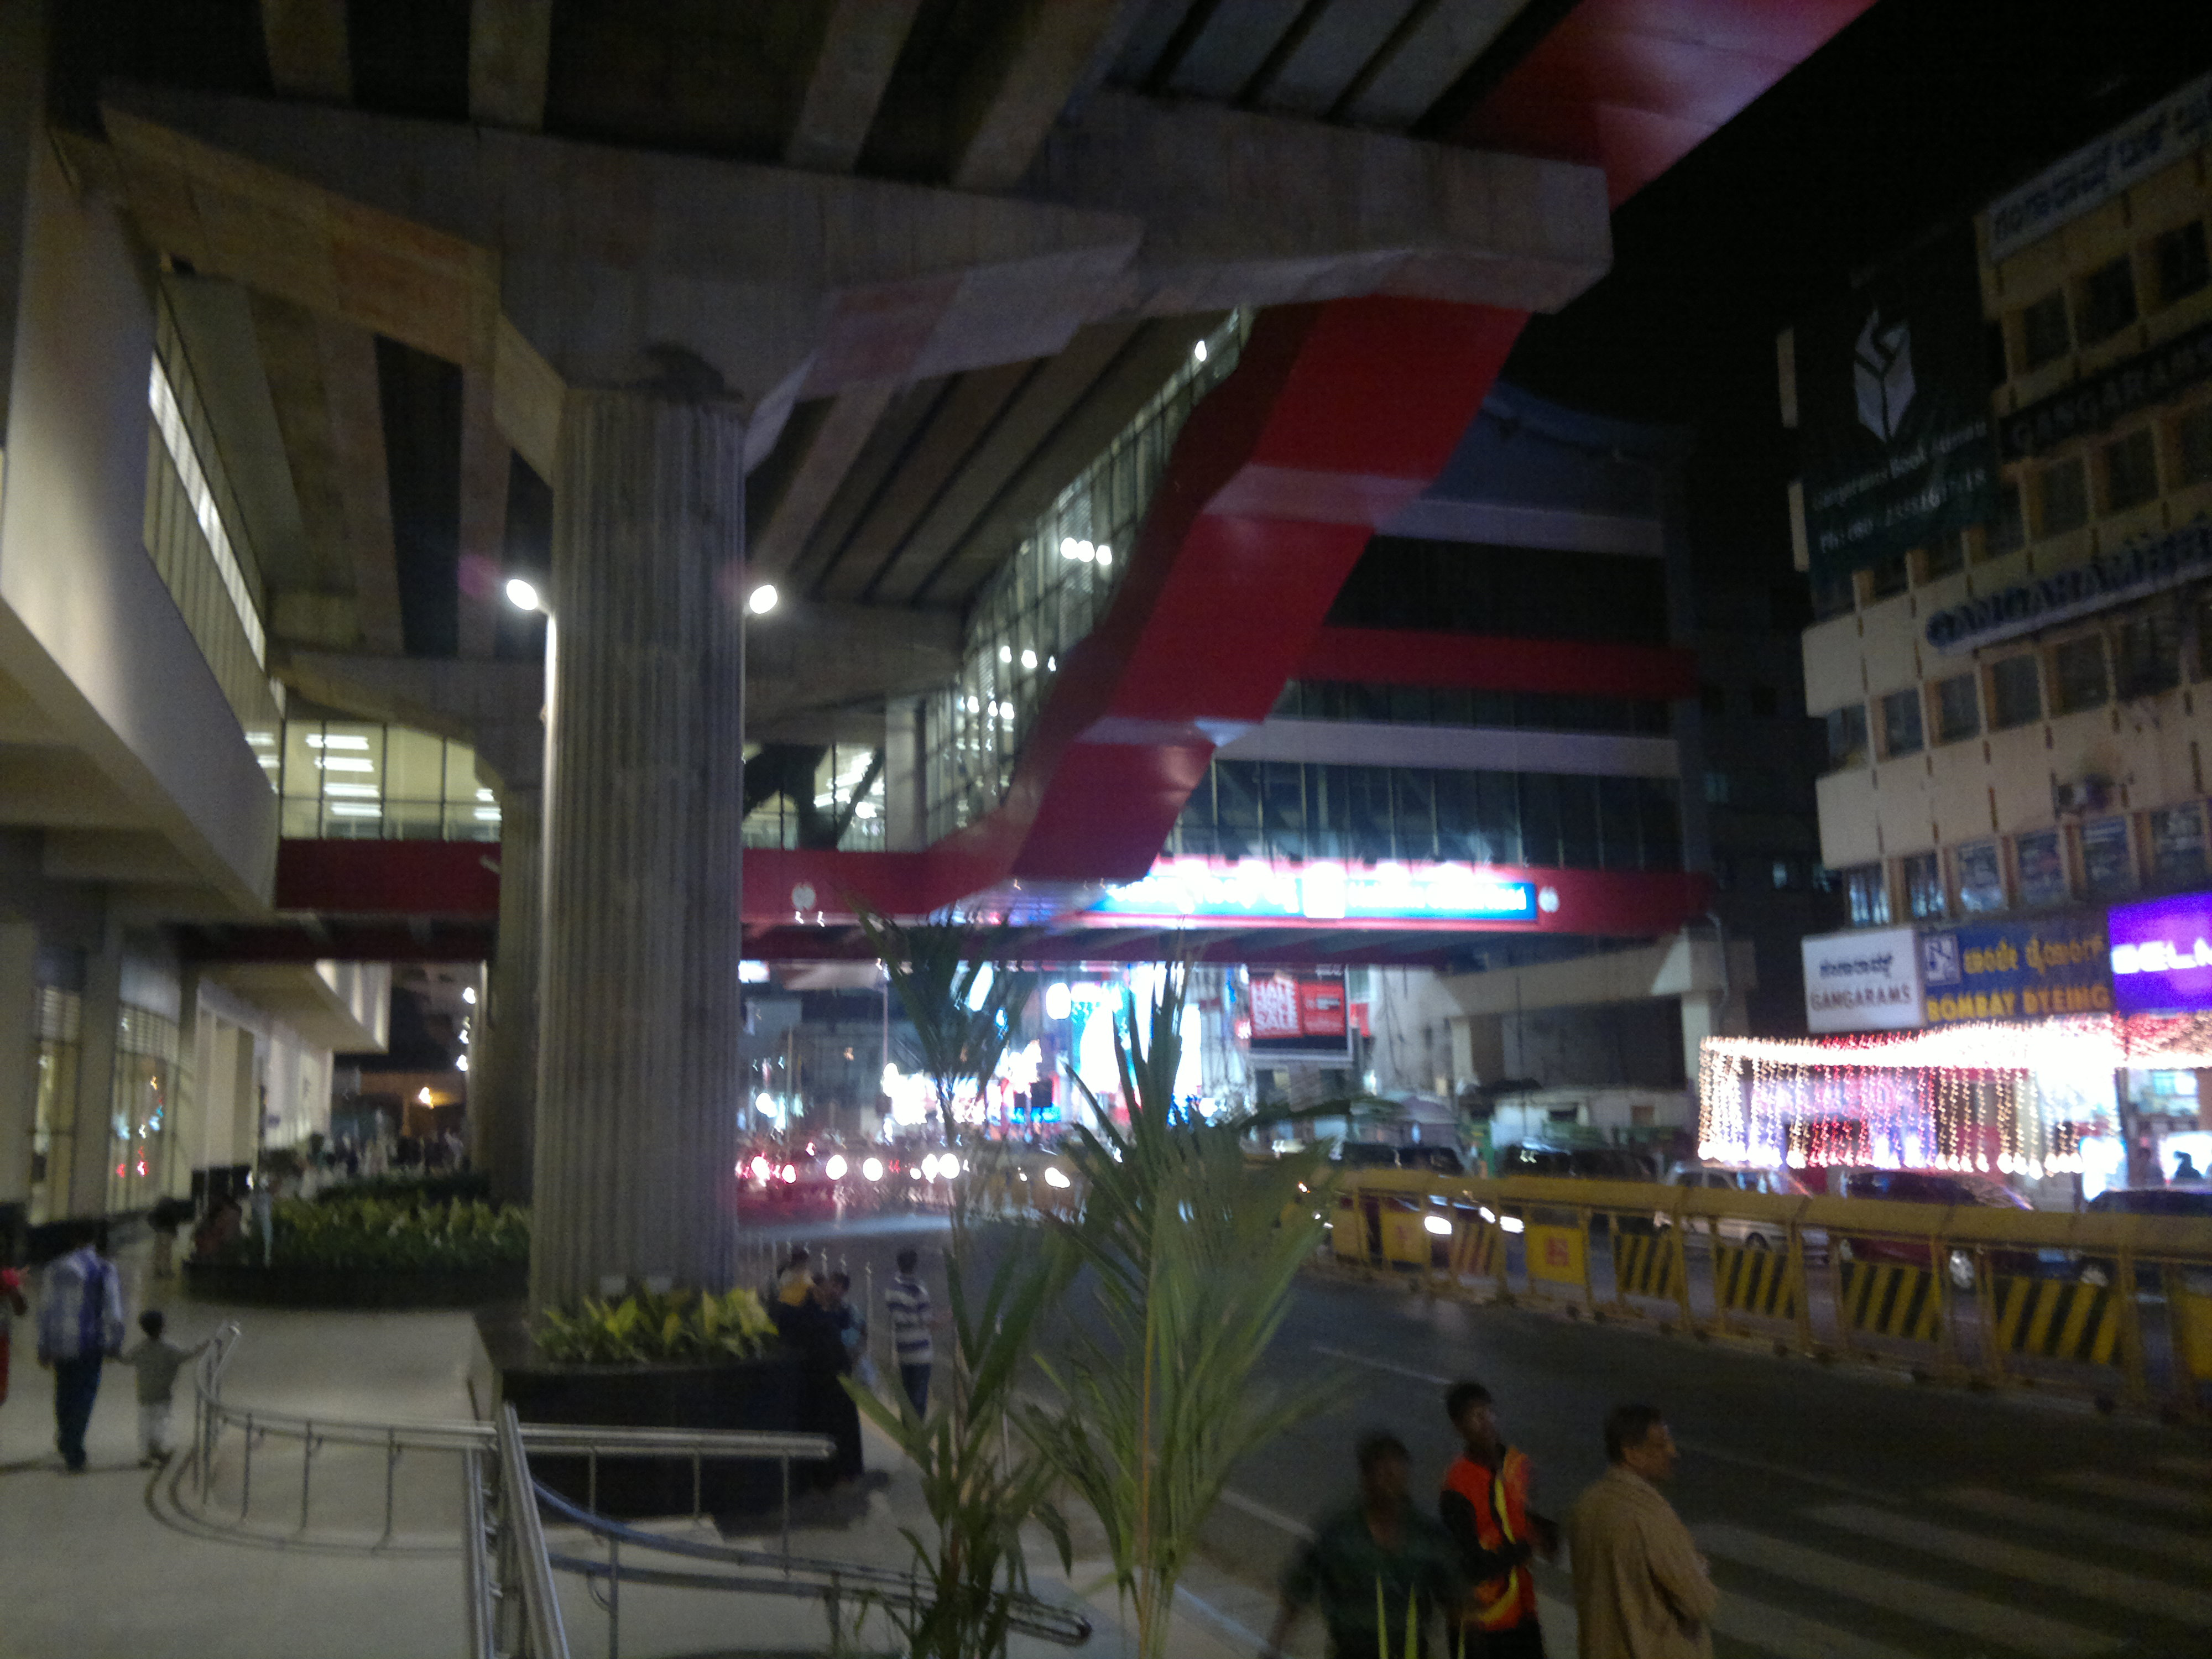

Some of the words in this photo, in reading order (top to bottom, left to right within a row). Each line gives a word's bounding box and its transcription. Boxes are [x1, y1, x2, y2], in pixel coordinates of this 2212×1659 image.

[1803, 981, 1916, 1014] GANGARAMS
[1915, 985, 2017, 1030] BOMBAY
[2020, 980, 2112, 1017] DYEING